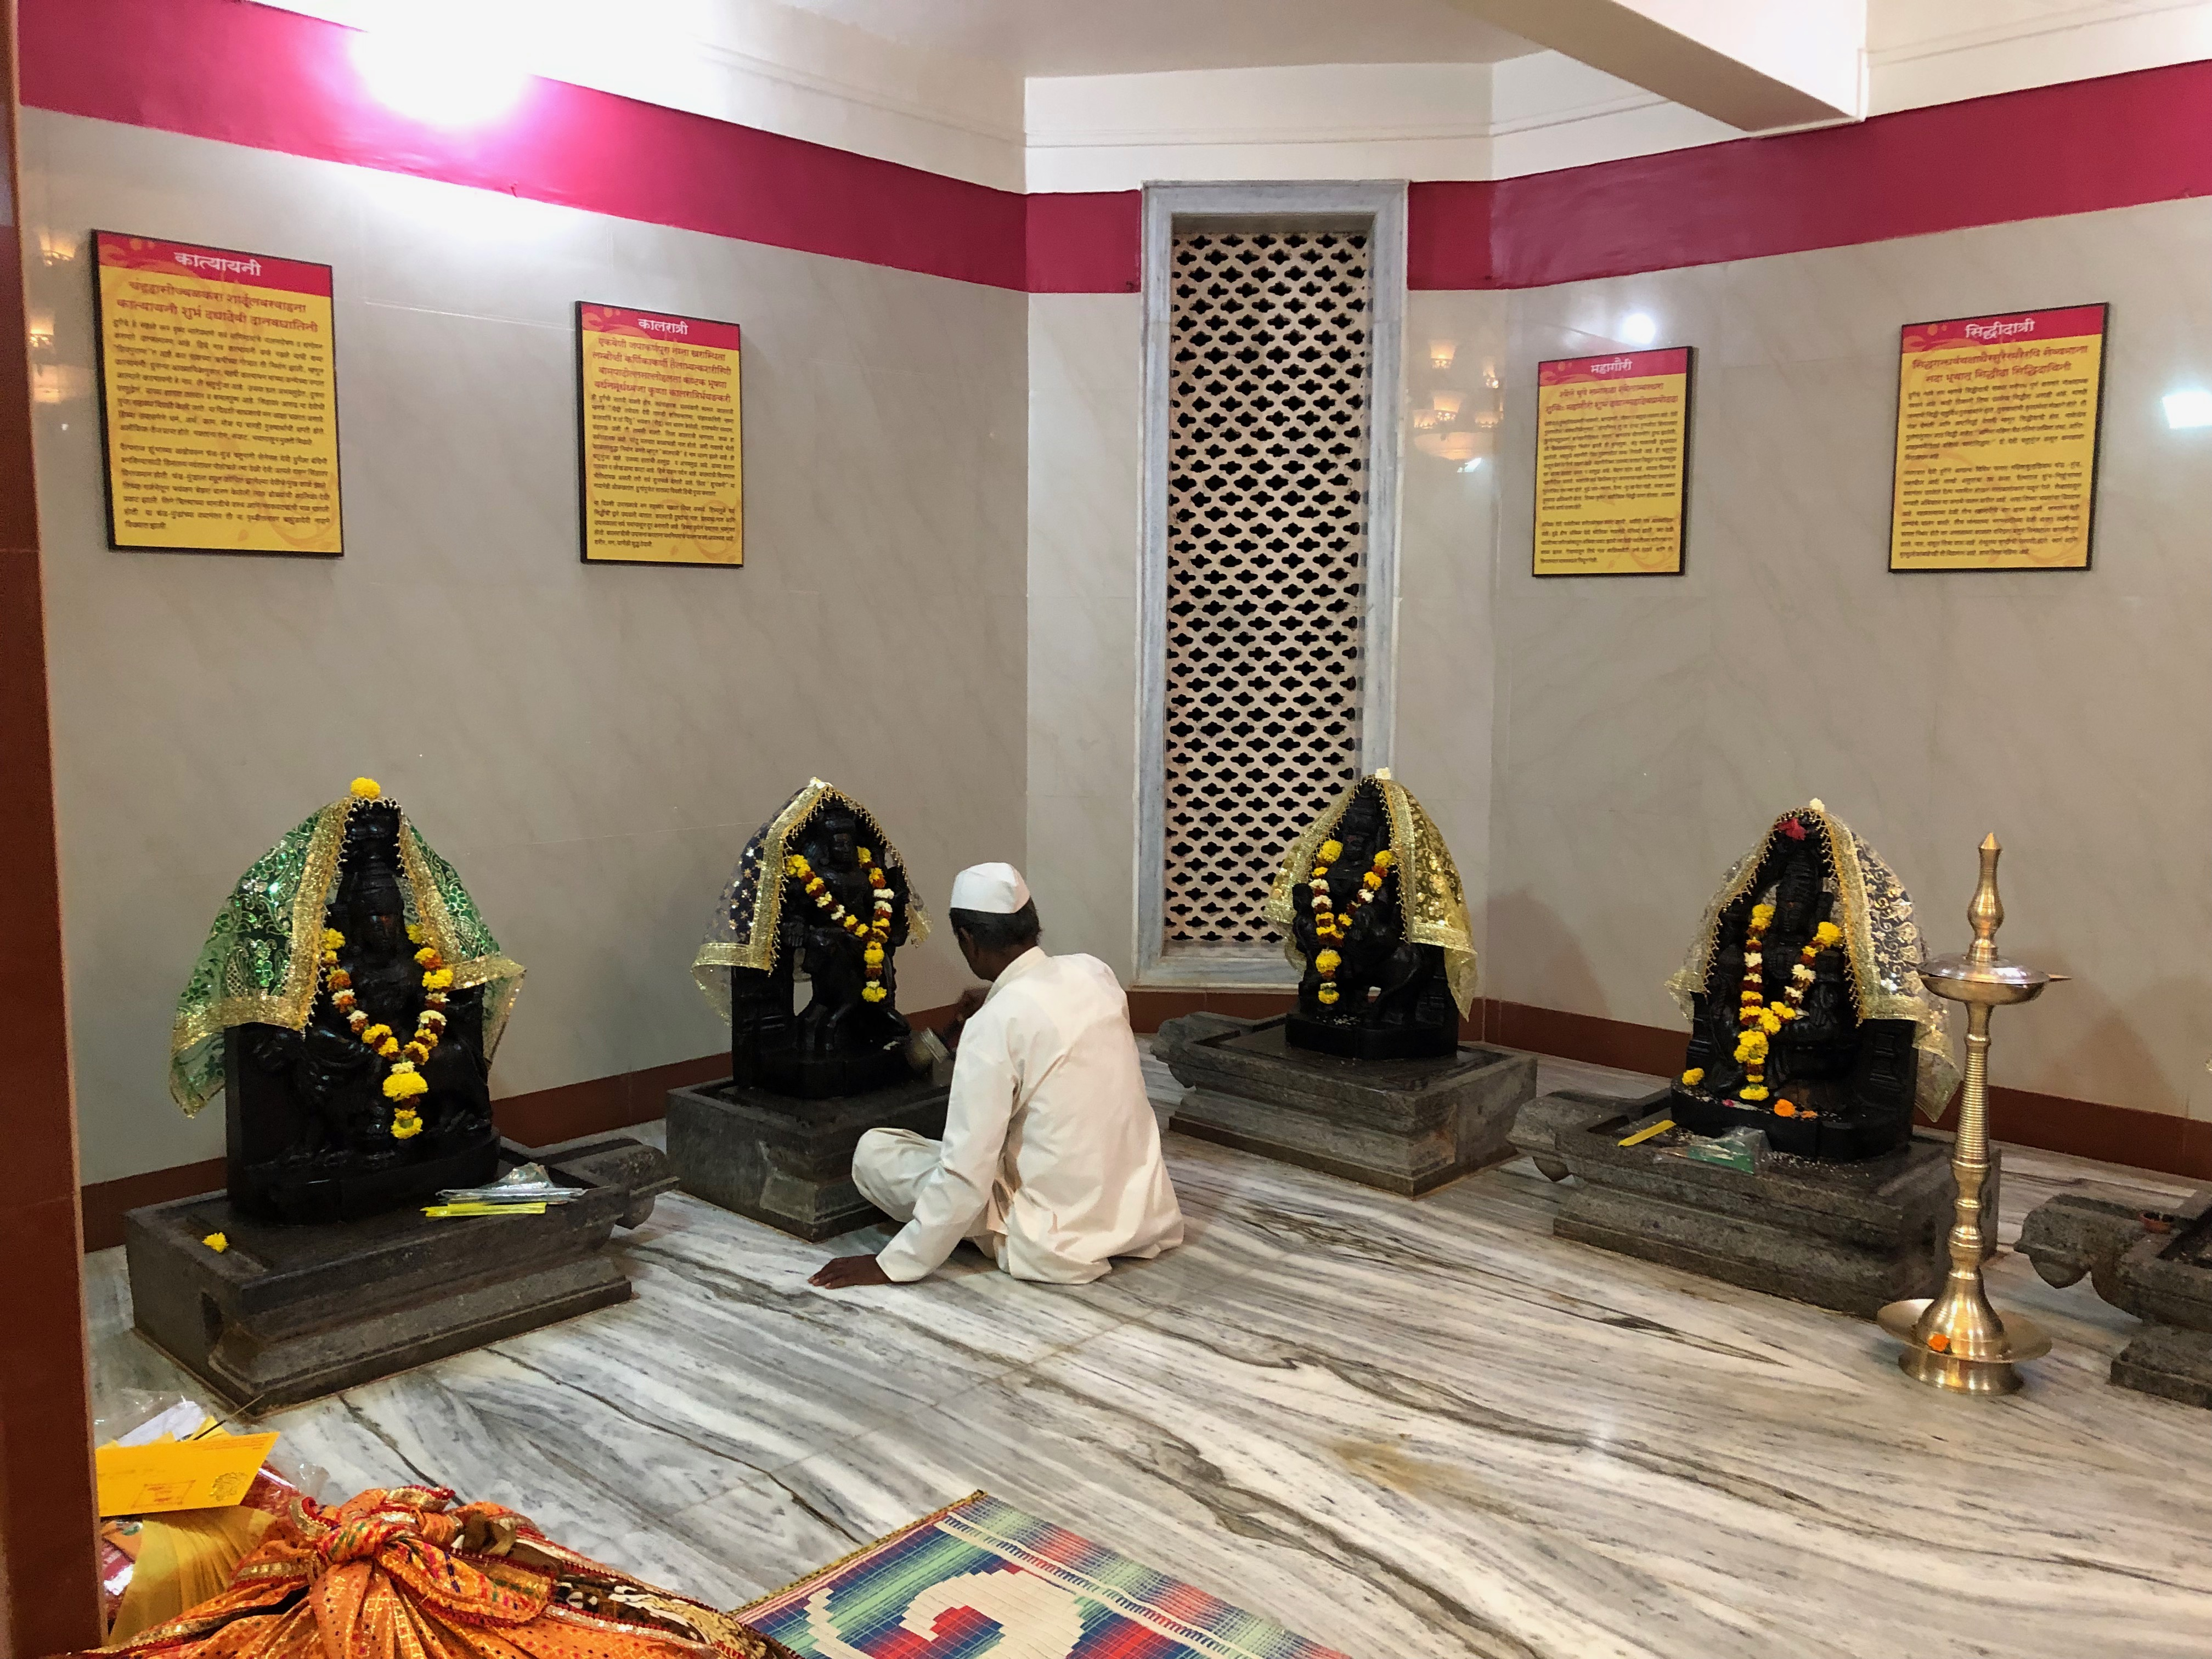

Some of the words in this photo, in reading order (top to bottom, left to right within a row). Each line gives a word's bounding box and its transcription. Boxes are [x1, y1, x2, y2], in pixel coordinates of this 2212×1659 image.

[171, 246, 264, 279] कात्यायनी
[112, 295, 179, 318] कात्यायनी
[179, 302, 205, 323] शुभं
[205, 304, 249, 328] दद्यादेवी
[224, 289, 309, 316] शार्दूलवरवाहना
[248, 312, 322, 336] दानवघातिनी
[636, 315, 691, 337] कालराञ
[1961, 315, 2039, 343] सिद्धीदात्री
[1587, 355, 1638, 377] महागौरी